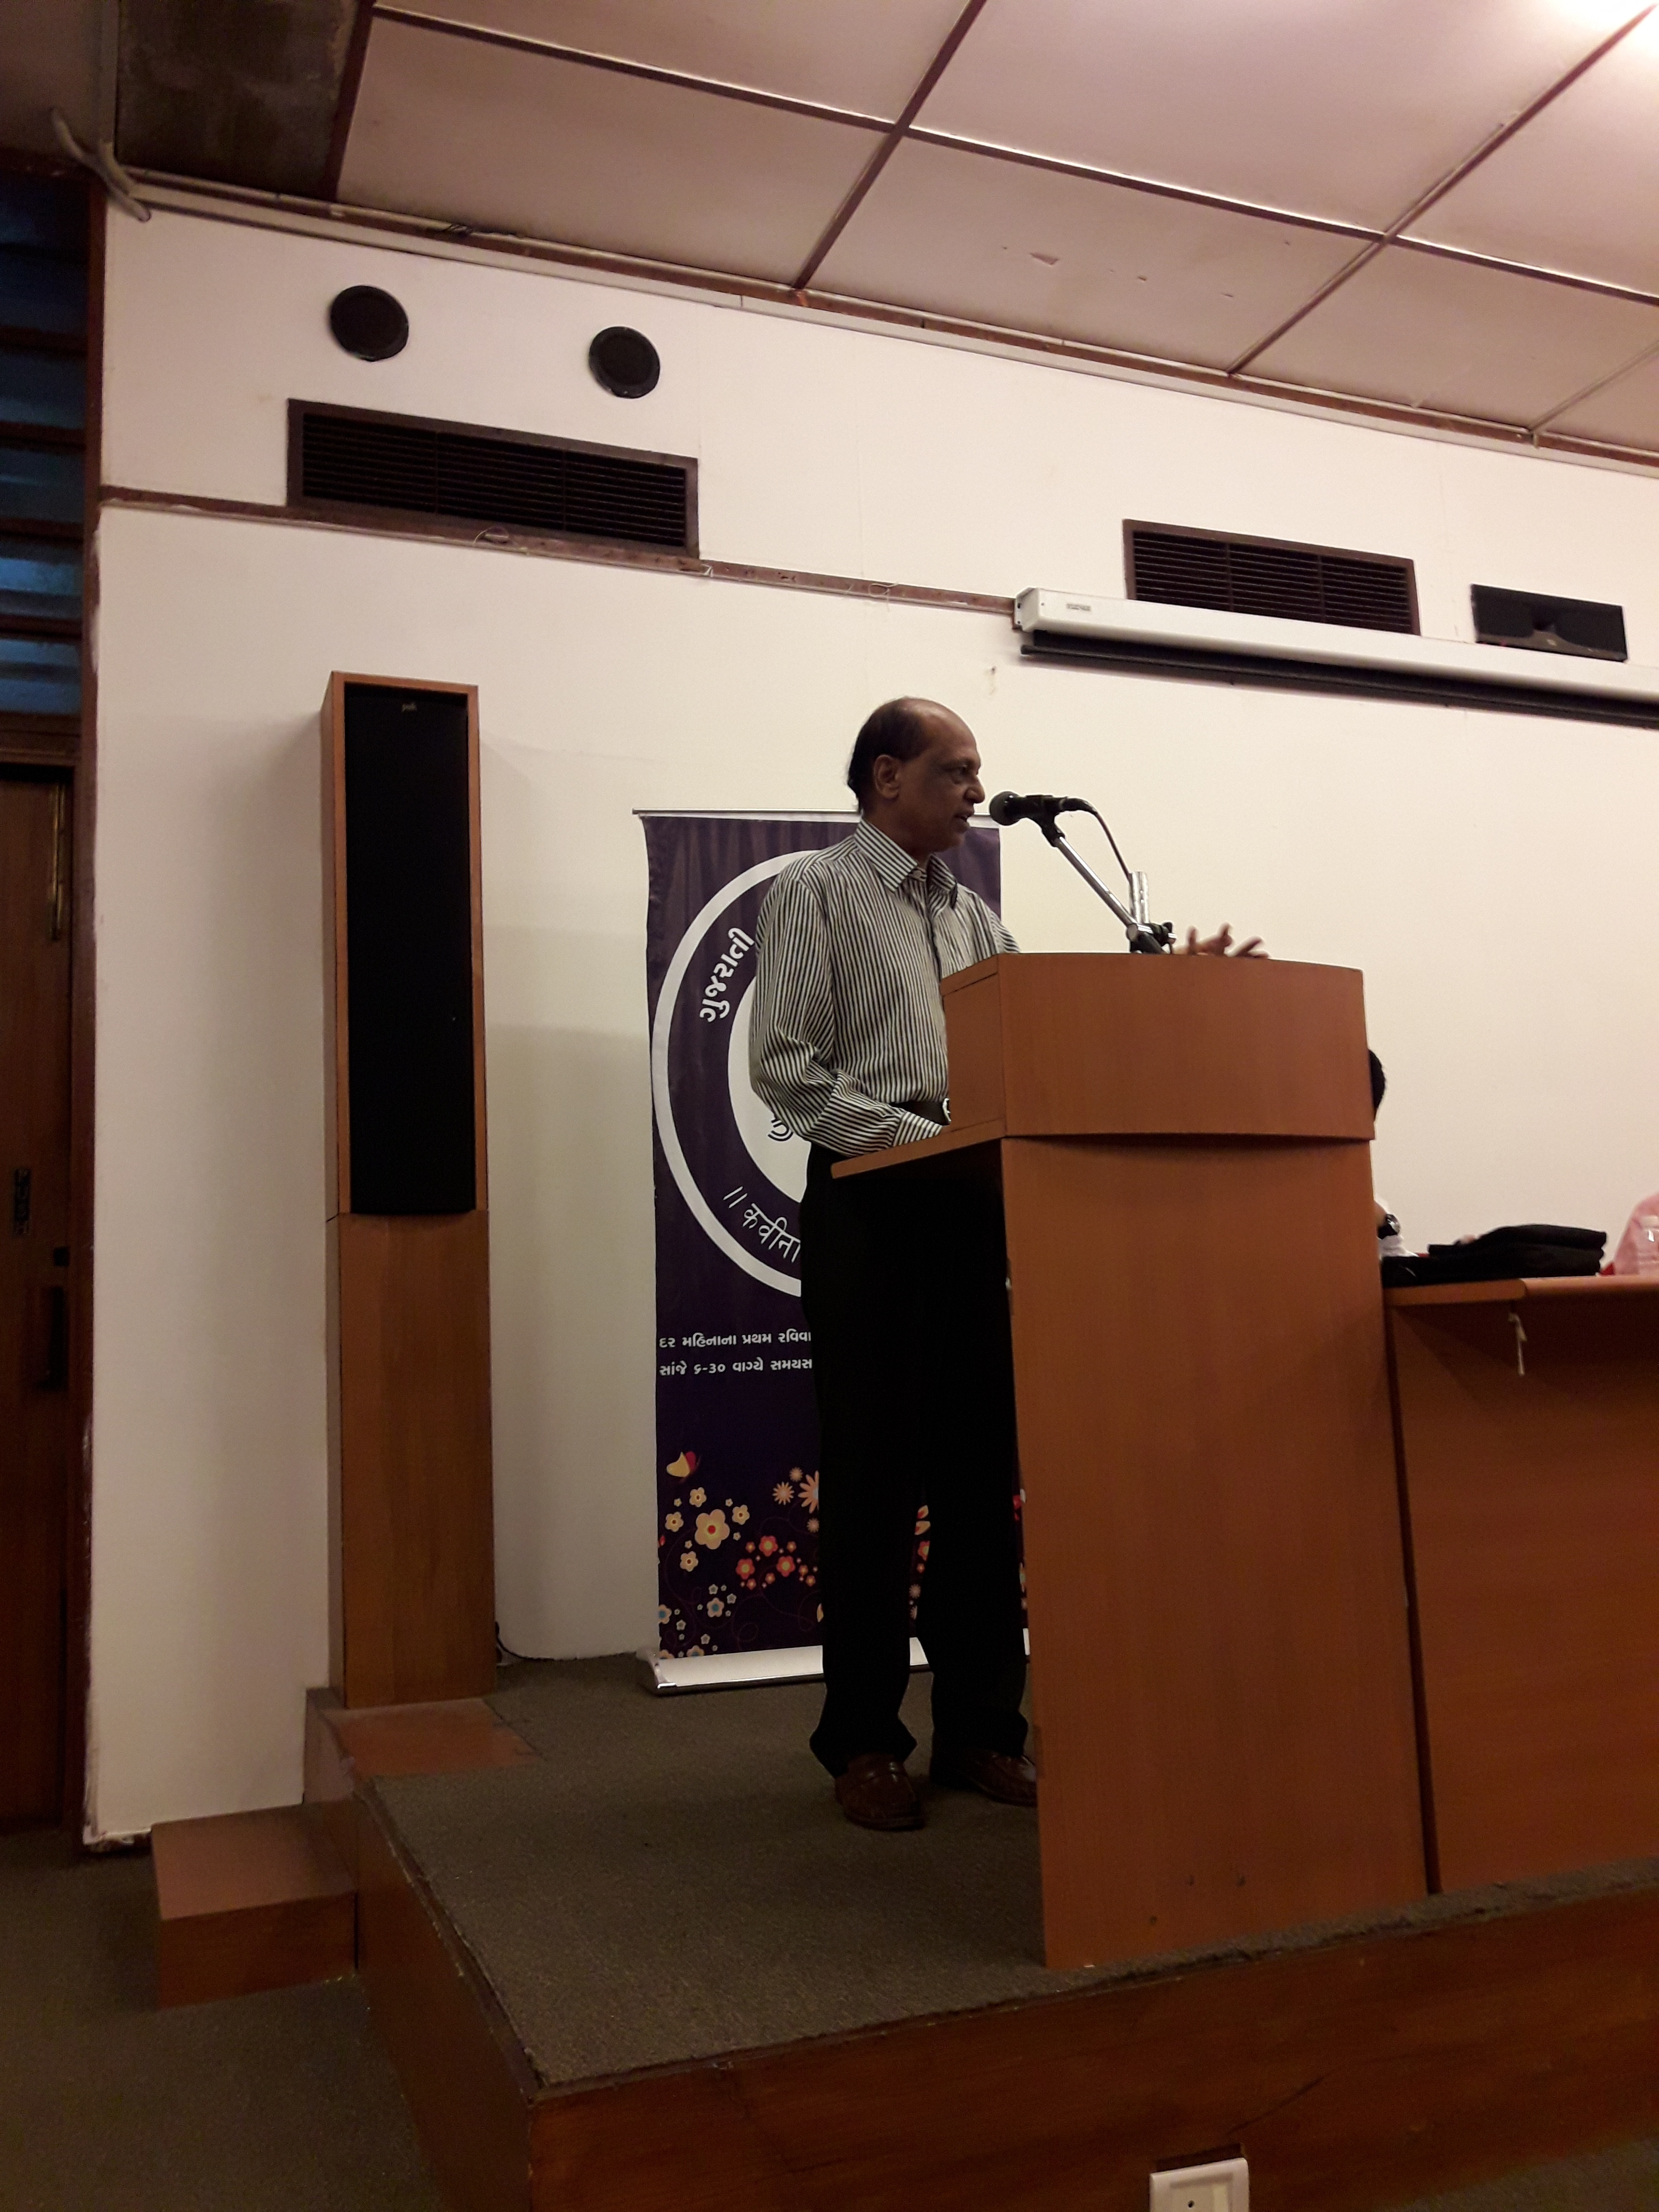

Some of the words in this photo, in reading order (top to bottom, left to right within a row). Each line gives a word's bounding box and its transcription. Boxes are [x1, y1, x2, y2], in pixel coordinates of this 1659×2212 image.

[695, 920, 758, 1025] ગજરાતી
[743, 1200, 803, 1267] कवीना
[658, 1336, 678, 1348] દર
[681, 1330, 738, 1349] મહિનાના
[740, 1331, 772, 1345] પ્રથમ
[776, 1327, 813, 1345] રવિવા
[657, 1357, 690, 1380] સાંજે
[692, 1360, 729, 1379] ૬-૩૦
[729, 1355, 765, 1377] વાગ્યે
[769, 1356, 814, 1372] સમયસ